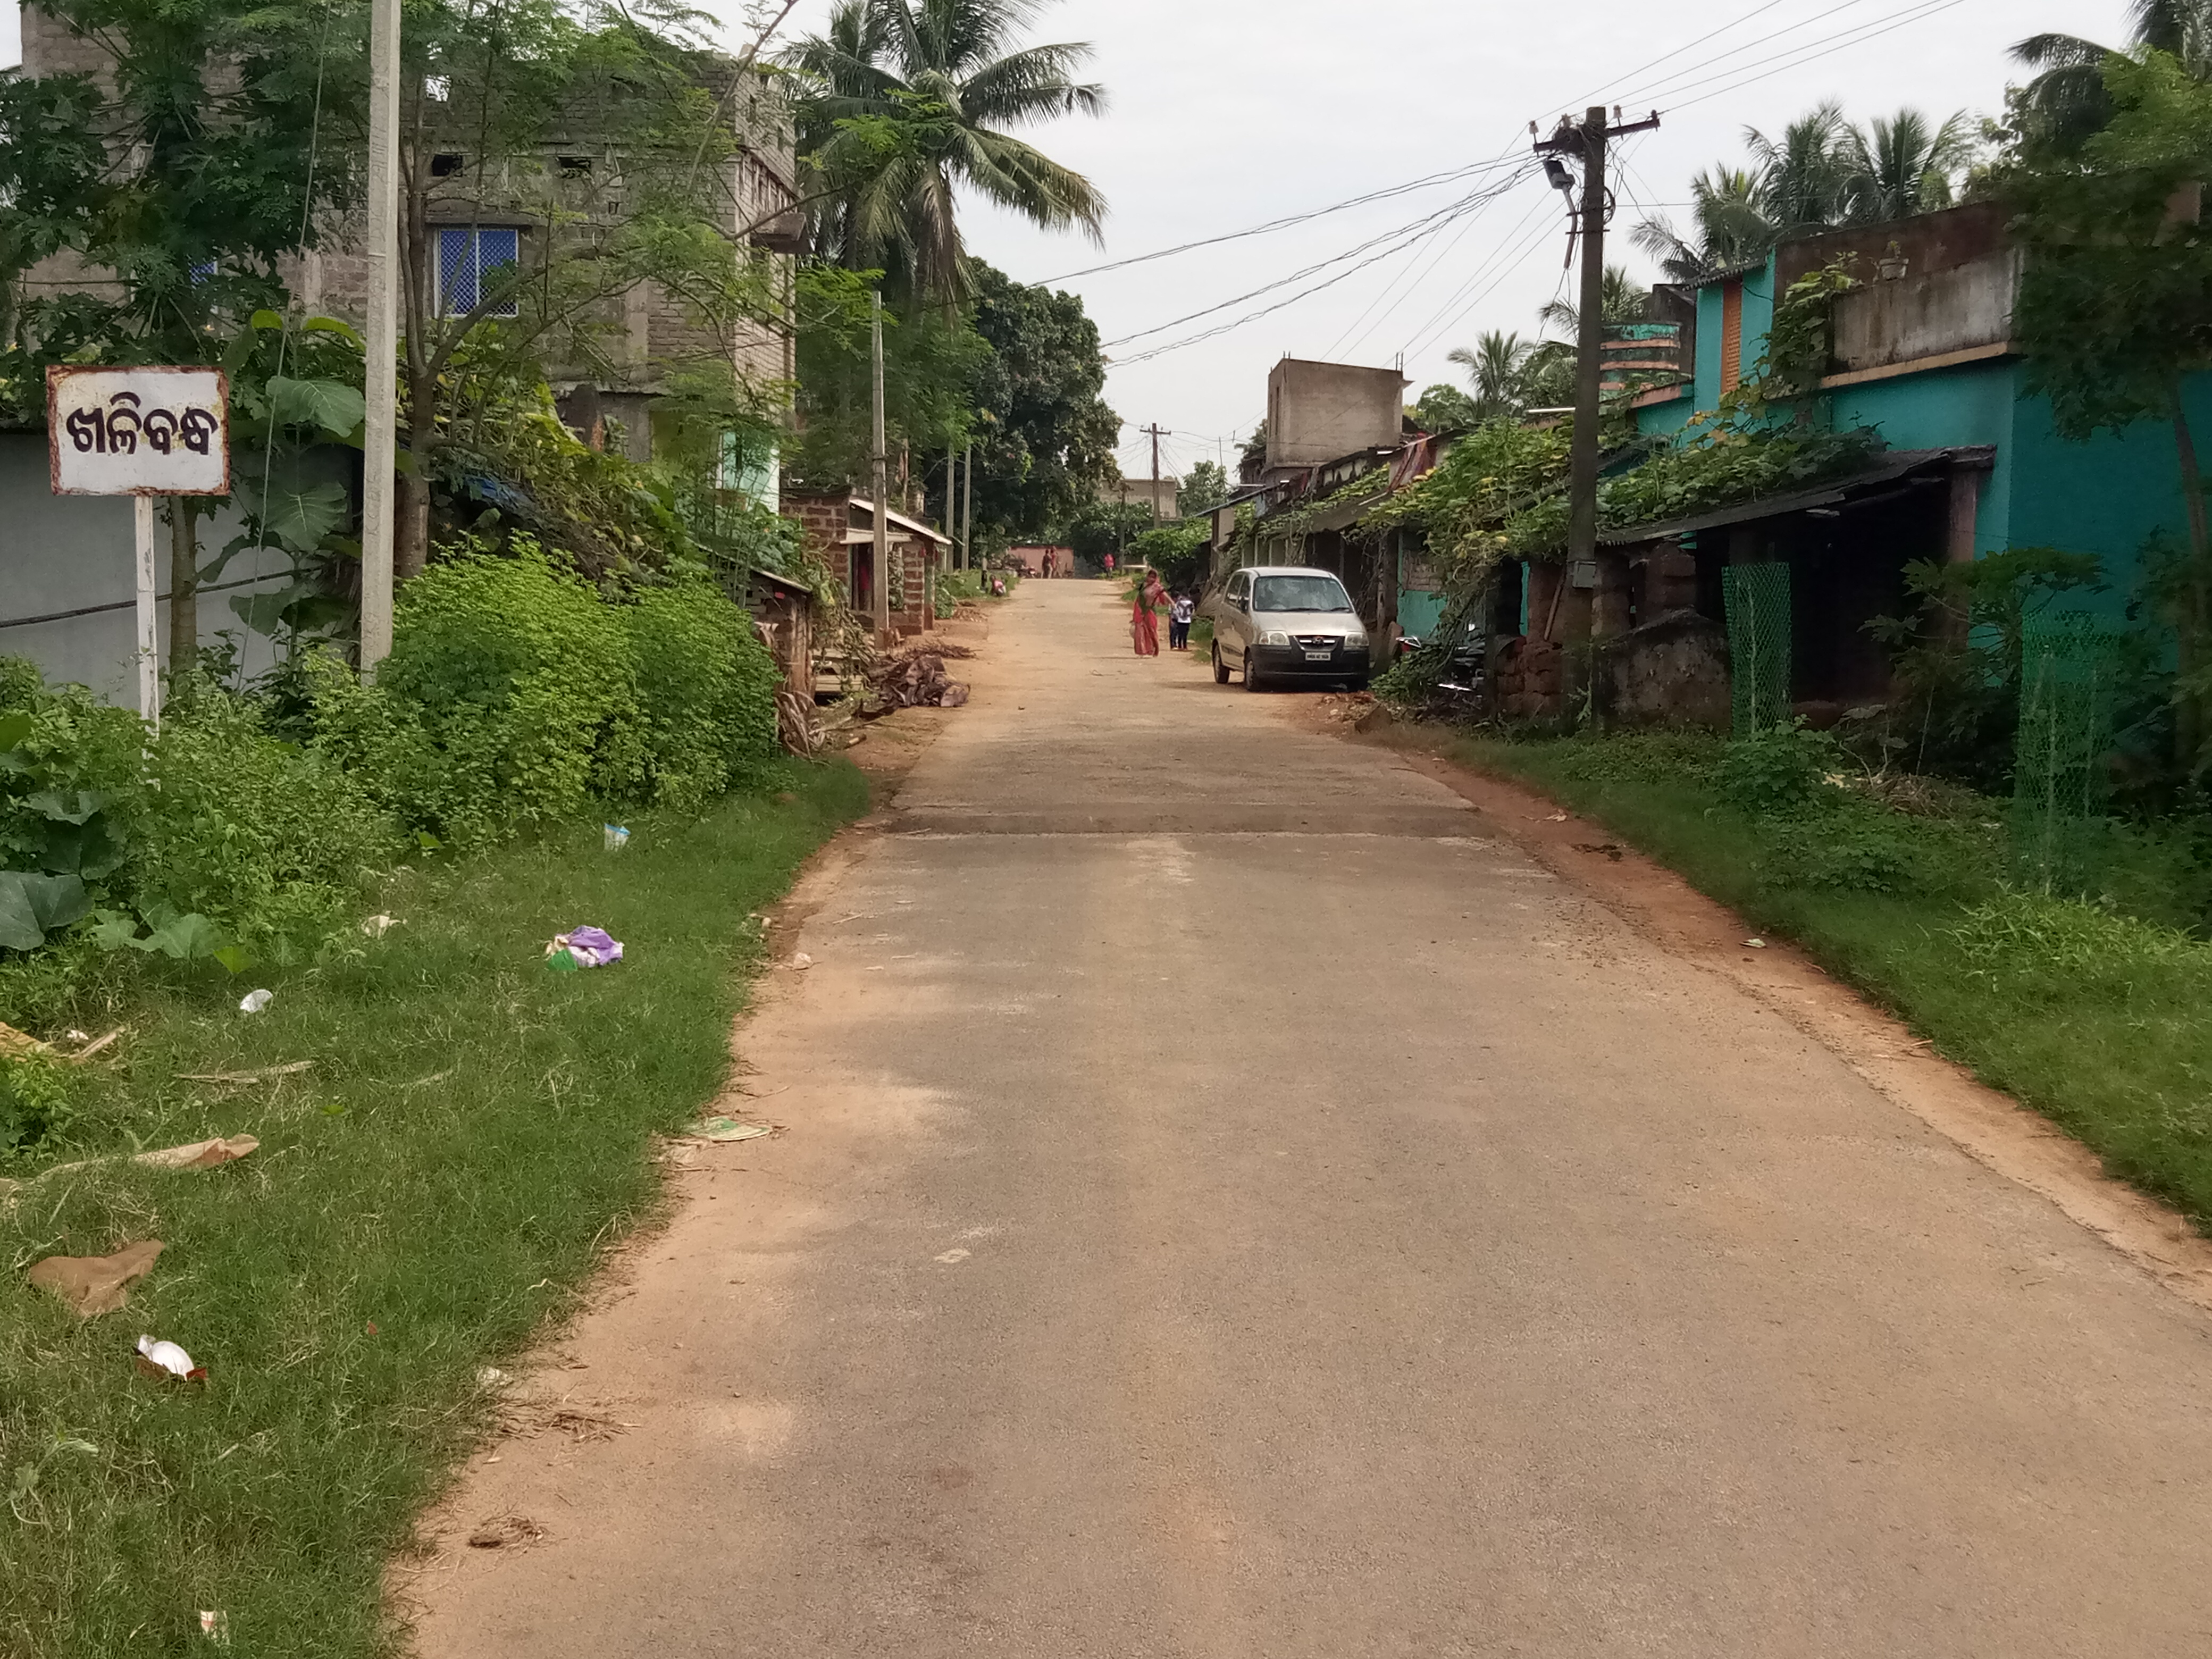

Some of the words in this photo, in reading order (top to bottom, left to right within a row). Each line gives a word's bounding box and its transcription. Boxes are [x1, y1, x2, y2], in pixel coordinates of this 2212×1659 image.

[58, 383, 216, 462] ଖଳିବଦ୍ଧ